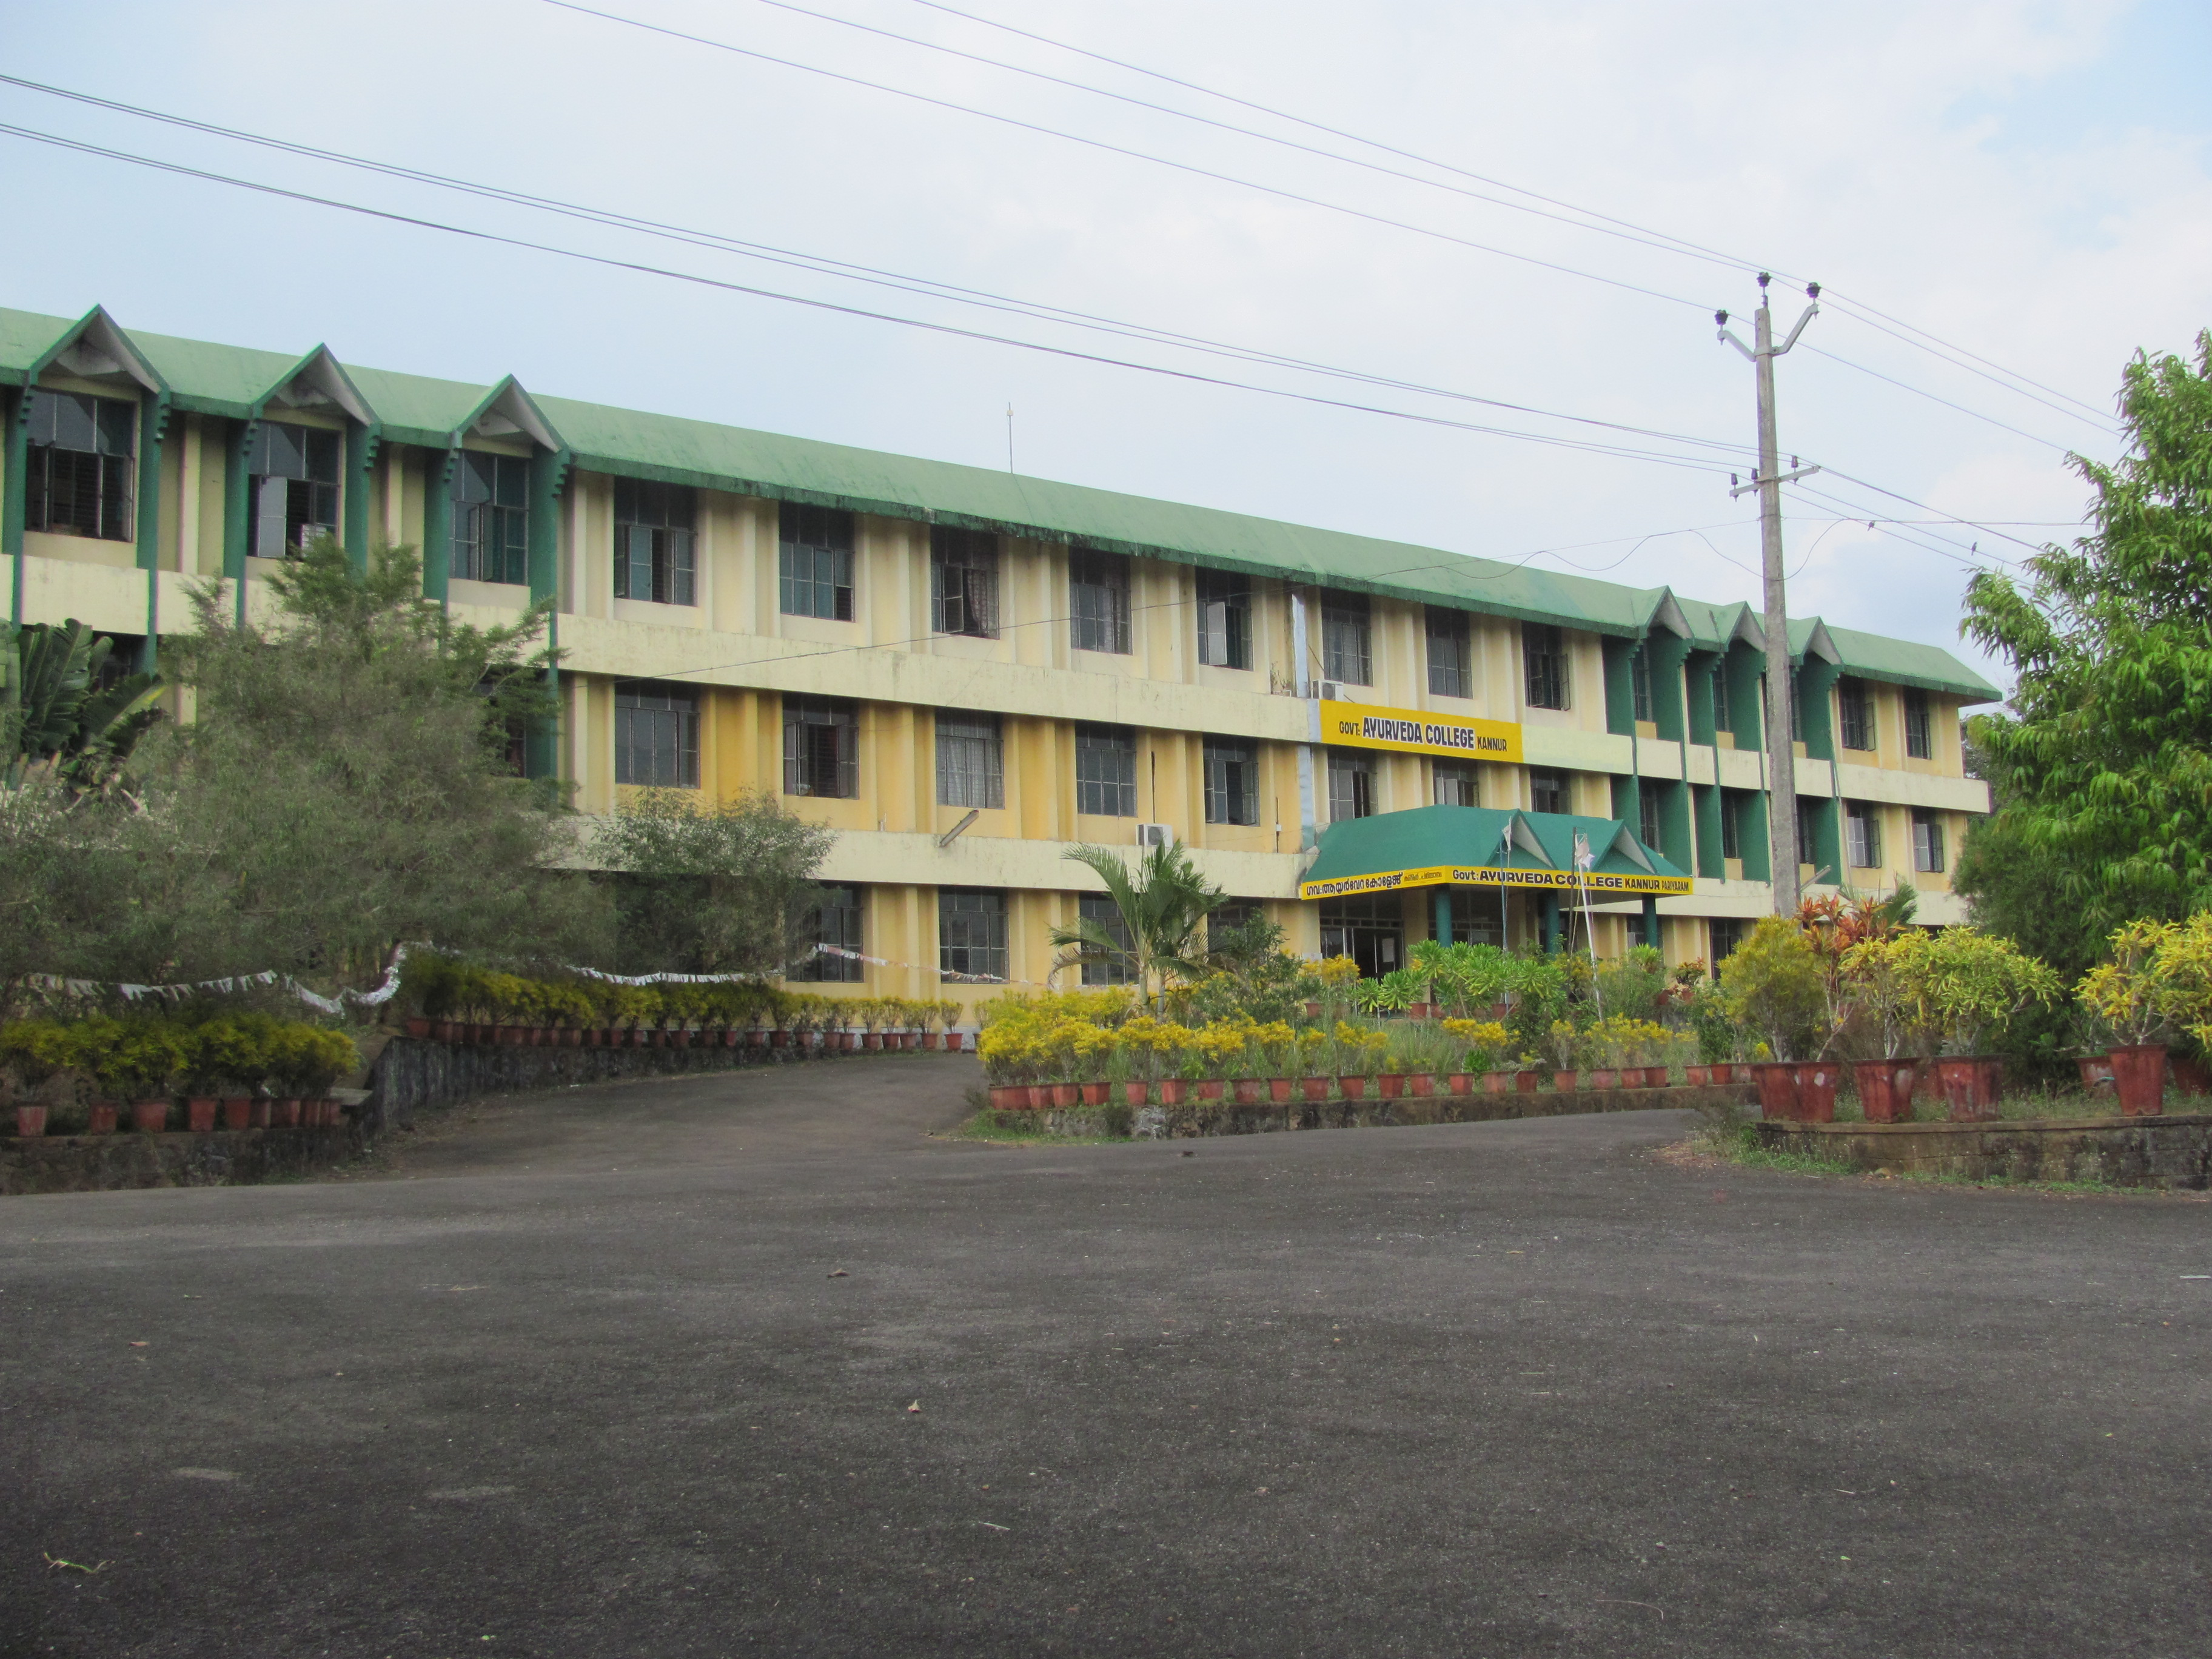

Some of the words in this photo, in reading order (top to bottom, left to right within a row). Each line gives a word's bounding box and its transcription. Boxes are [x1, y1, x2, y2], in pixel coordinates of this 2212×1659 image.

[1337, 717, 1362, 739] GOVT:
[1361, 714, 1425, 746] AYURVEDA
[1423, 722, 1476, 751] COLLEGE
[1474, 731, 1510, 754] KANNUR
[1303, 876, 1367, 899] ഗവ:ആയുർവേദ
[1361, 870, 1404, 891] കോളേജ്
[1451, 866, 1480, 883] Govt:
[1476, 868, 1556, 888] AYURVEDA
[1553, 870, 1624, 891] COLLEGE
[1623, 875, 1663, 893] KANNUR
[1661, 878, 1691, 893] PARIYARAM